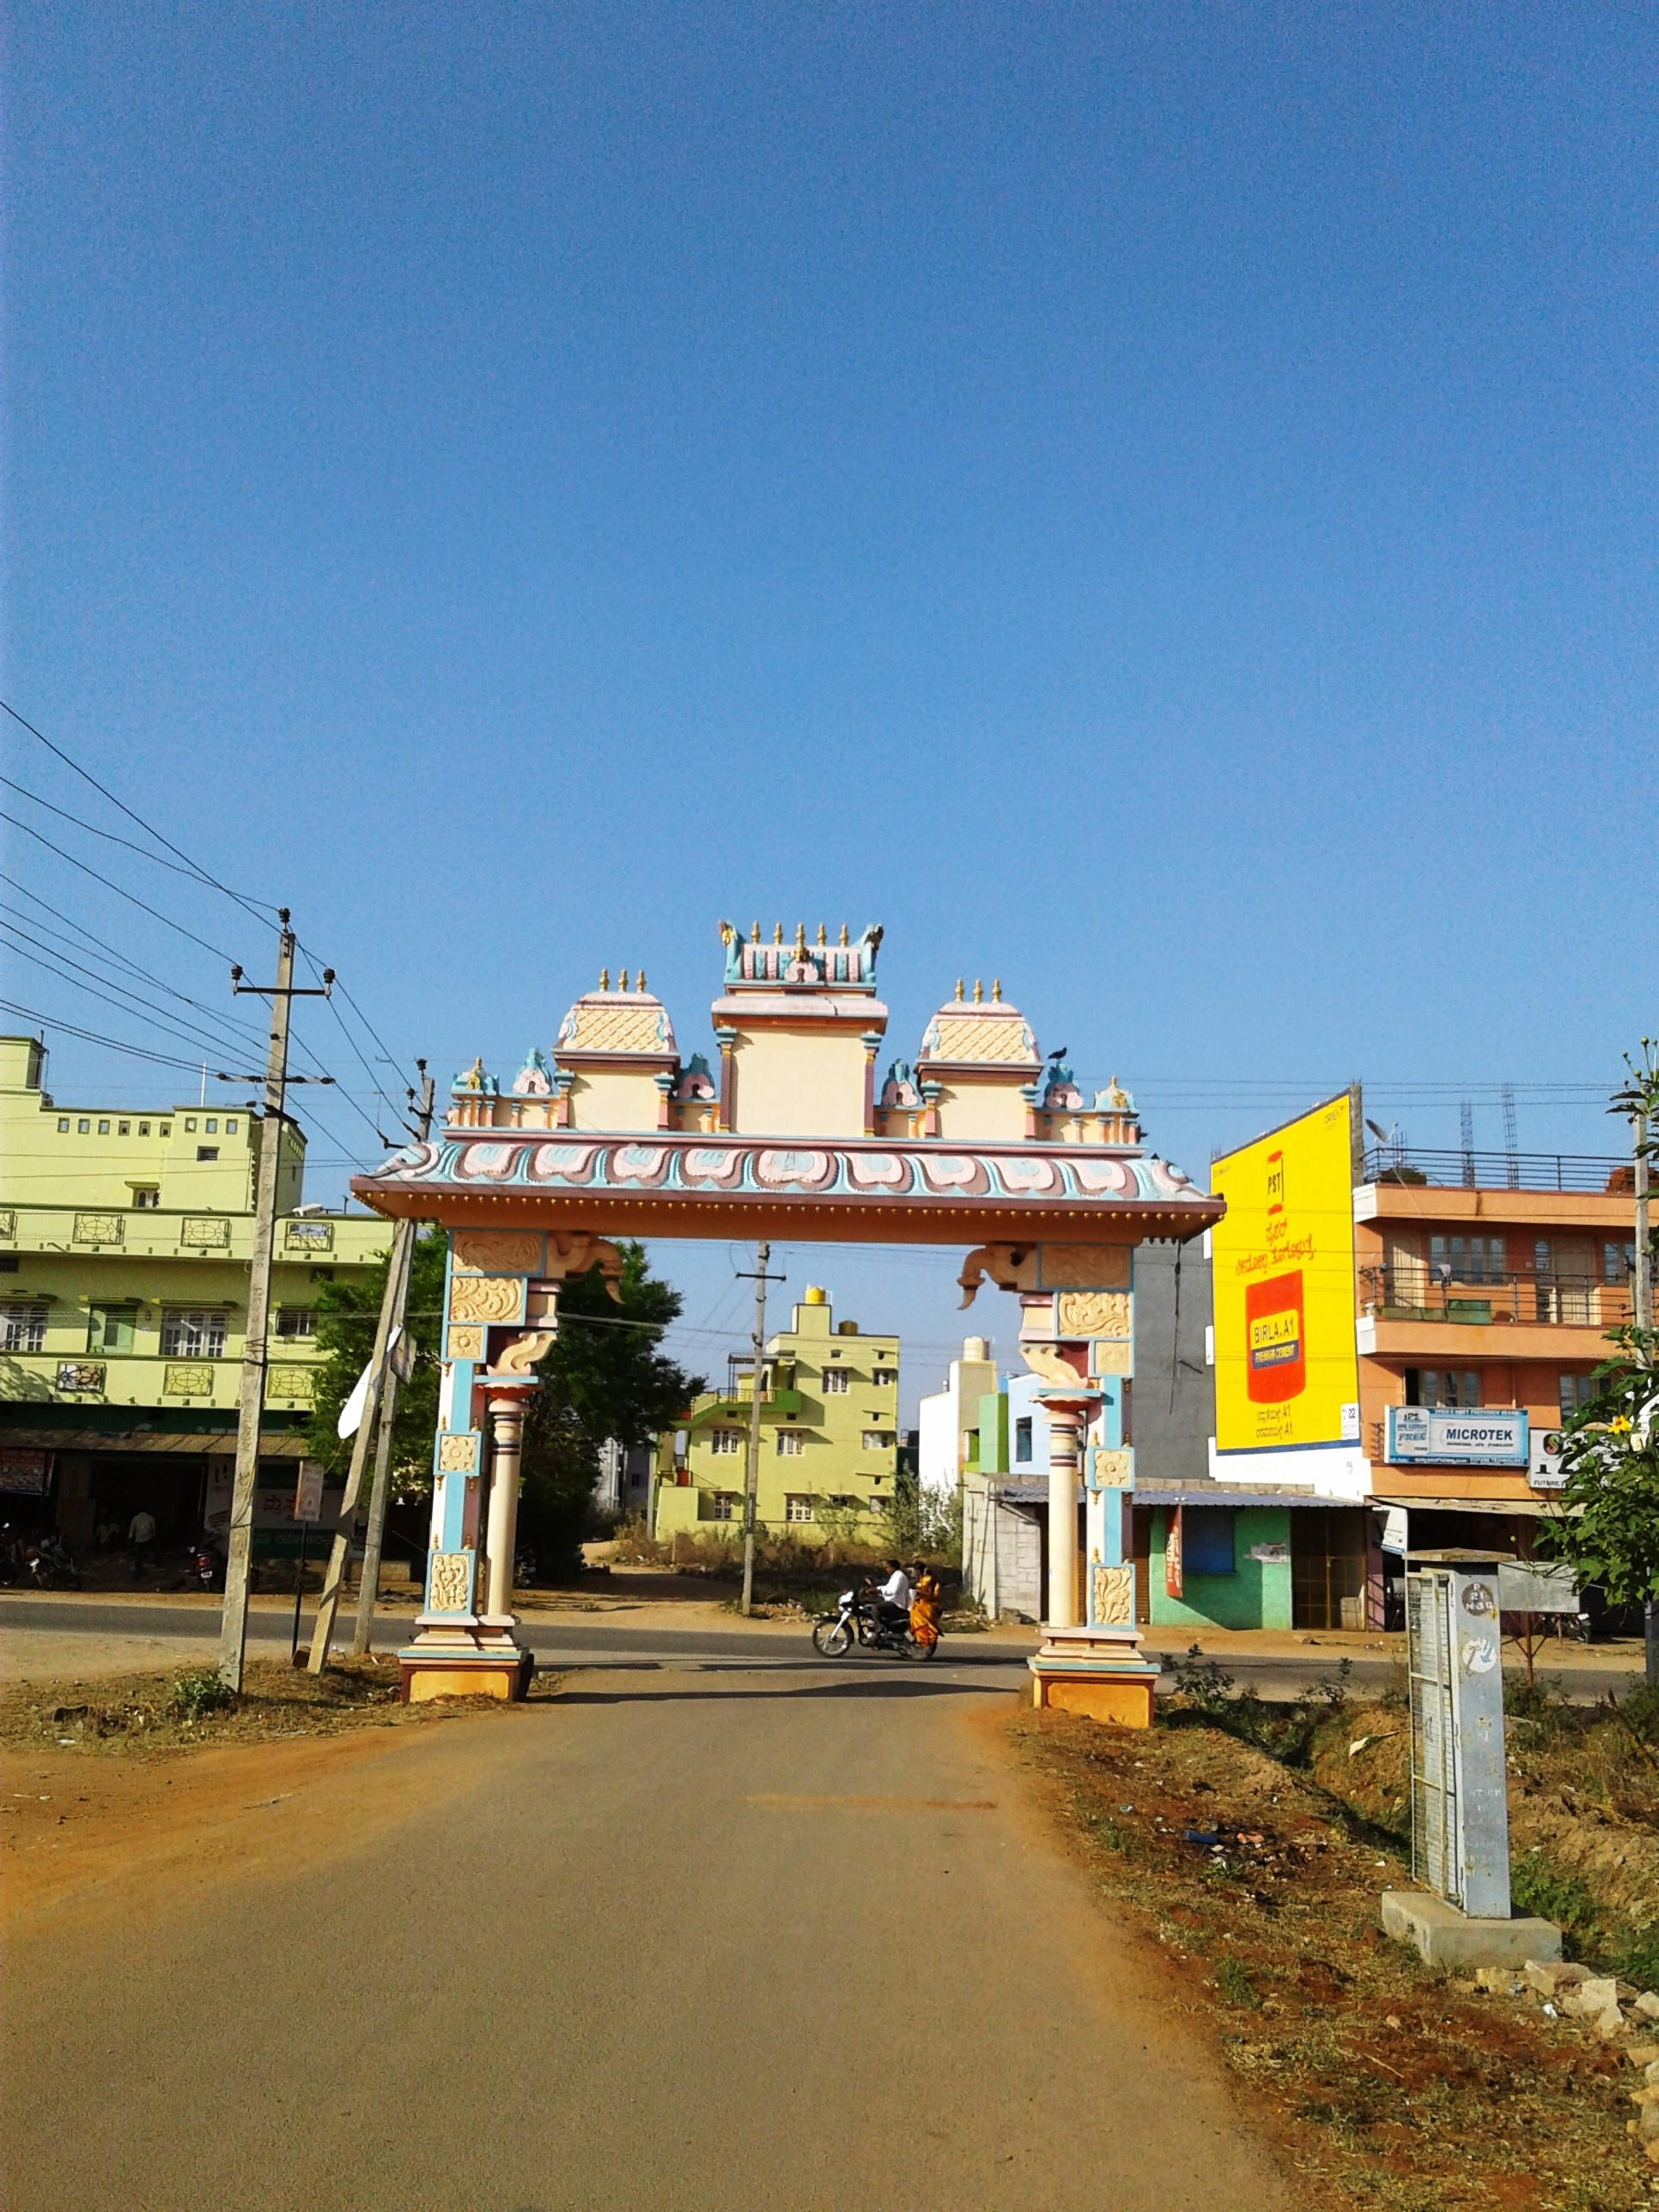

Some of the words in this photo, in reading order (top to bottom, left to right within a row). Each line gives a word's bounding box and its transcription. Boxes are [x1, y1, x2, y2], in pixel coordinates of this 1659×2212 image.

[1260, 1213, 1291, 1249] ಪ್ರೆಶರ್
[1231, 1249, 1273, 1285] ನೀಡೋಲ್ಲ
[1443, 1425, 1516, 1444] MICROTEK